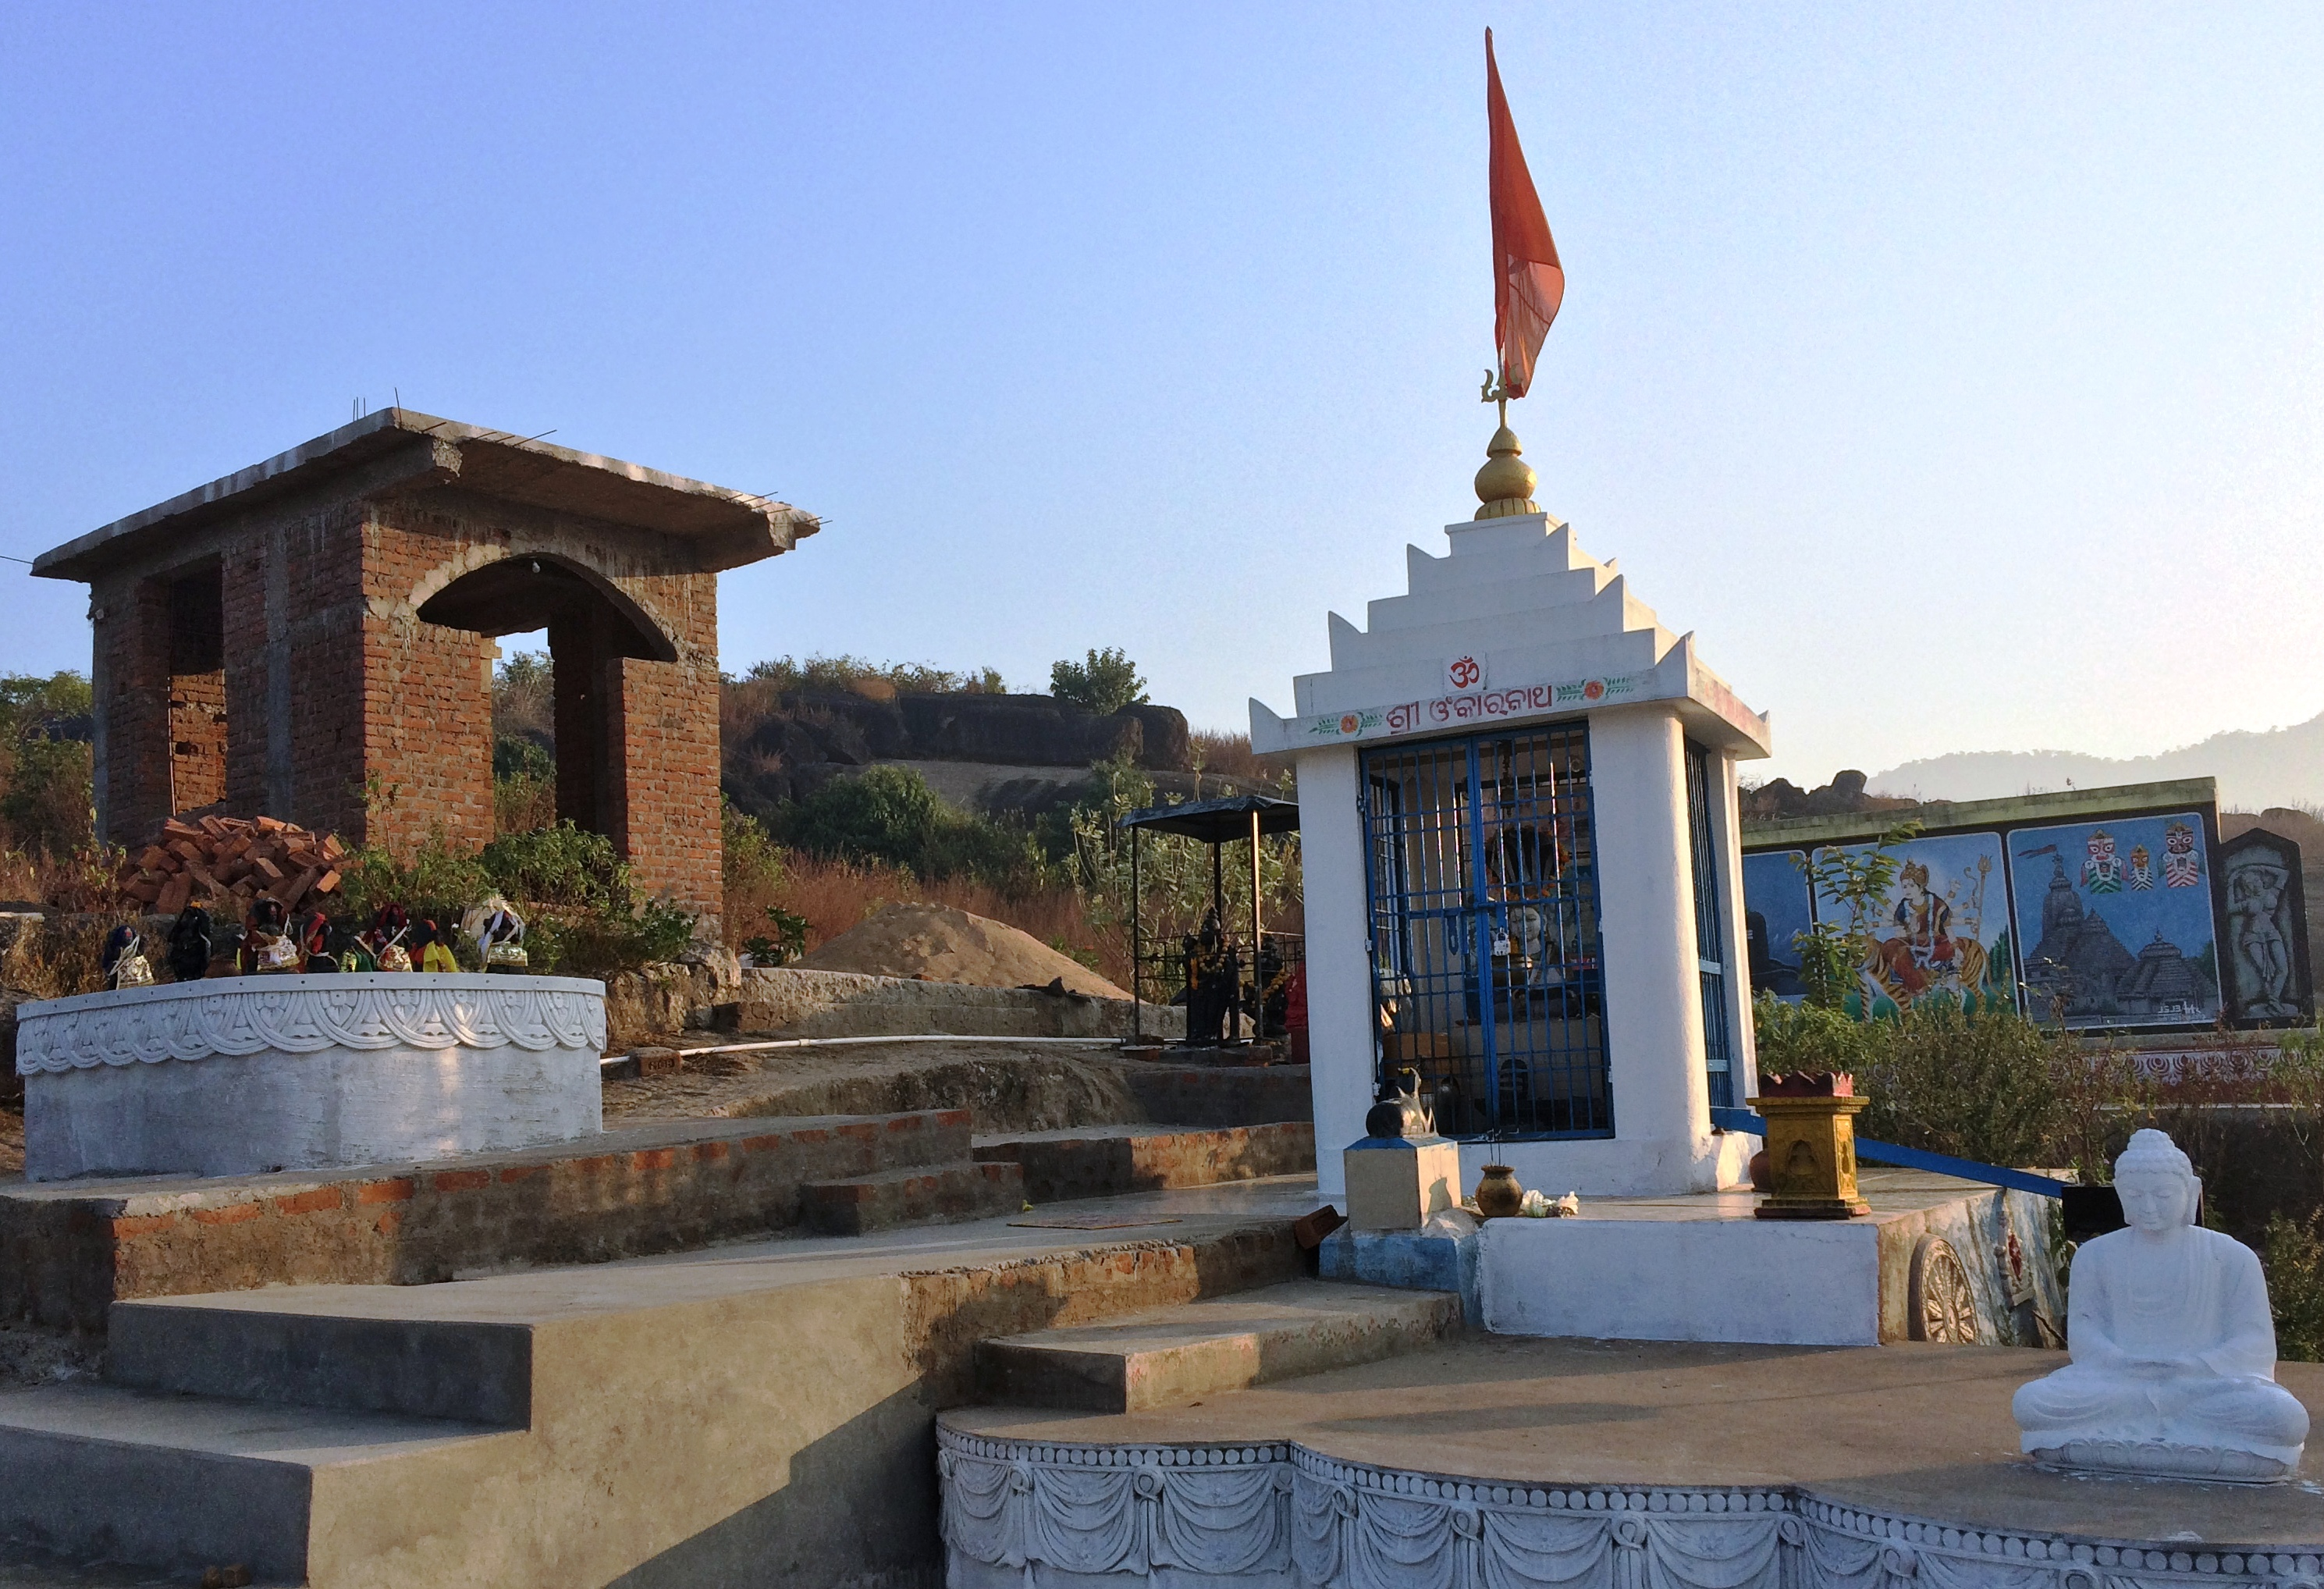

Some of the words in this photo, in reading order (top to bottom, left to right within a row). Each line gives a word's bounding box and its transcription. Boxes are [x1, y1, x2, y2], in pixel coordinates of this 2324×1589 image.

[1382, 694, 1427, 737] ଶ୍ରୀ
[1423, 681, 1557, 726] ଓ କାରଚାଥ